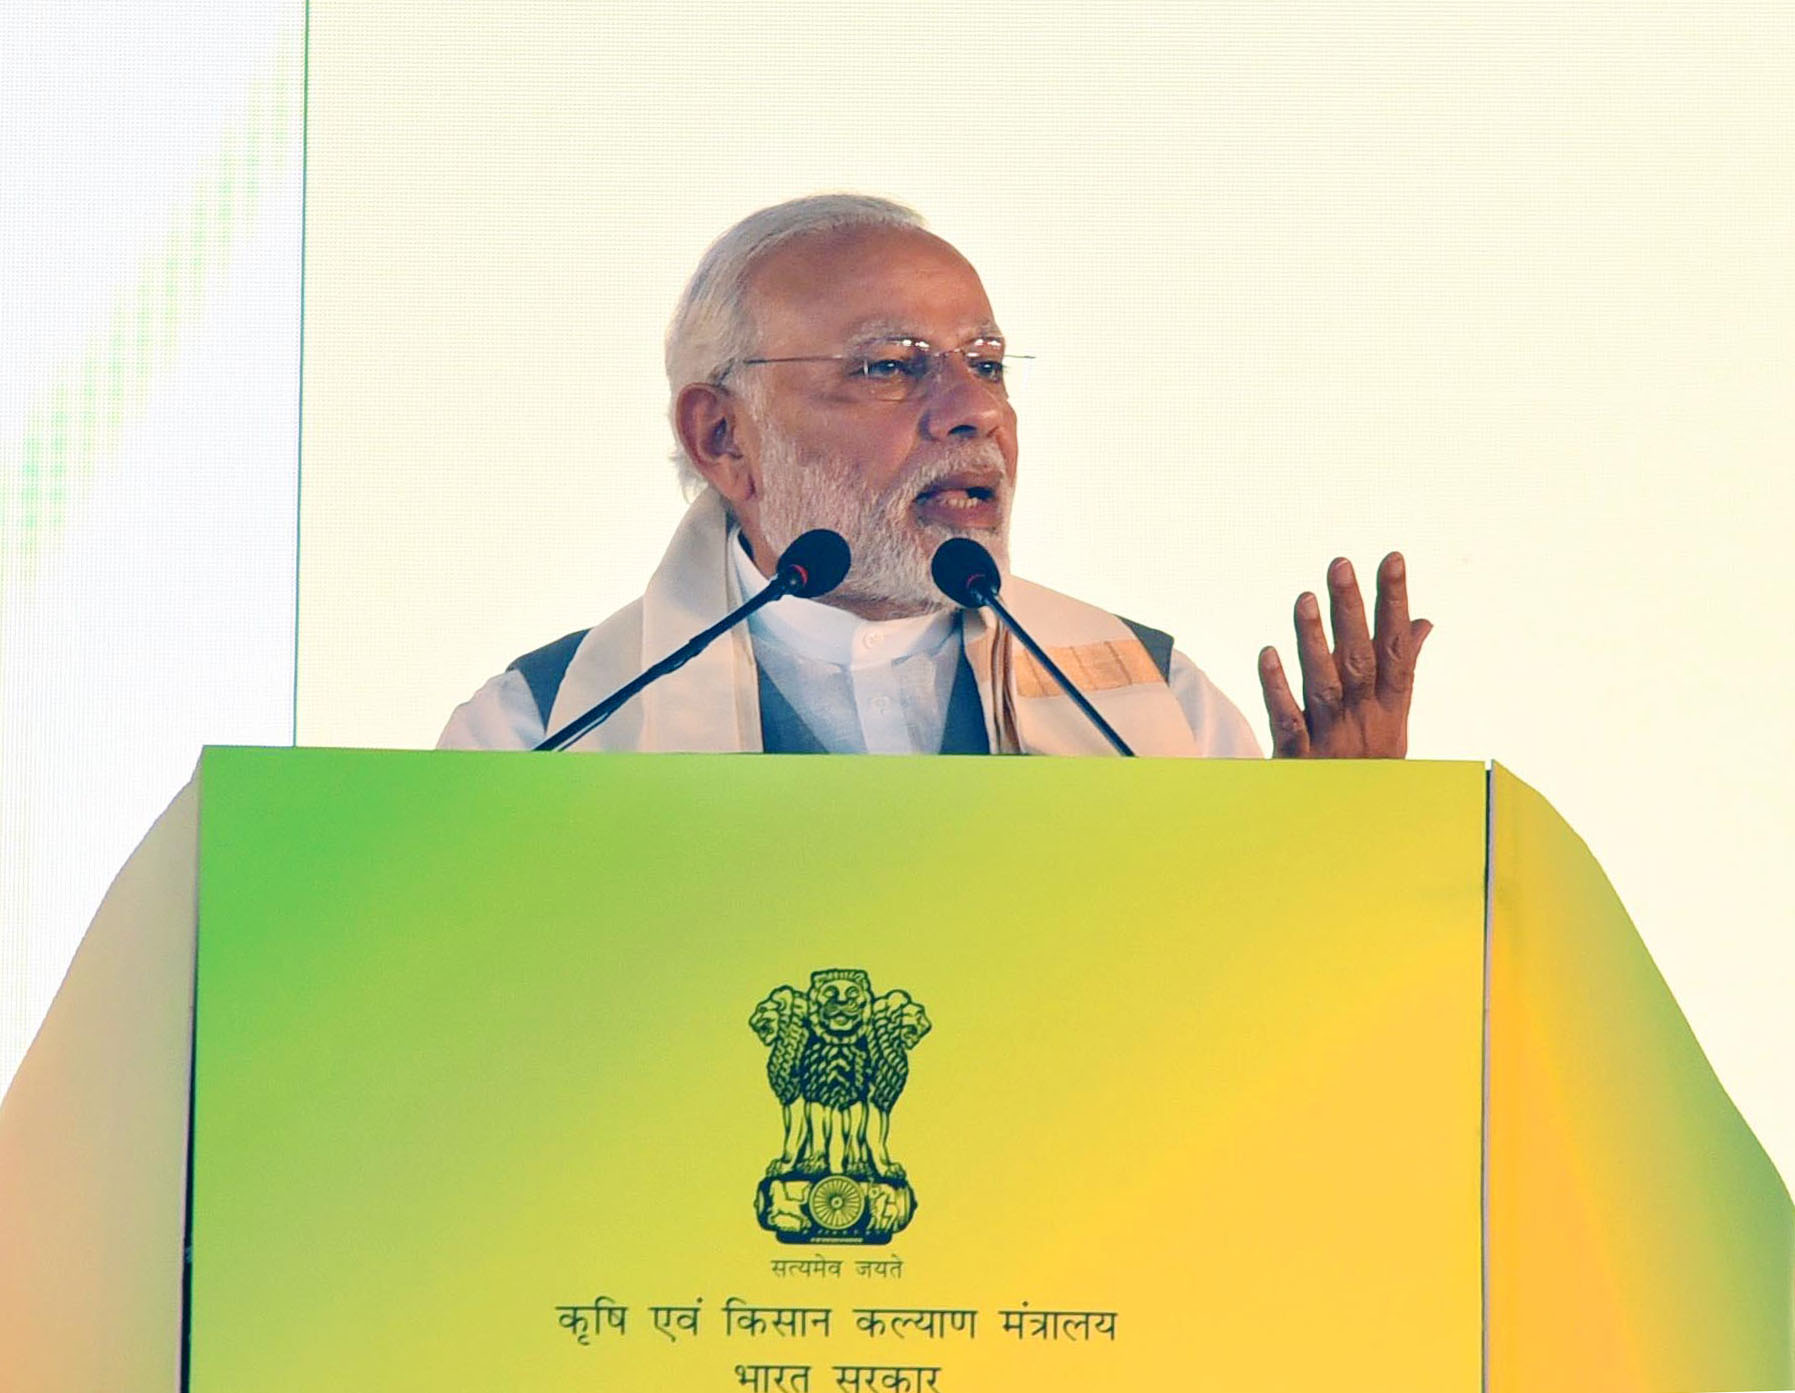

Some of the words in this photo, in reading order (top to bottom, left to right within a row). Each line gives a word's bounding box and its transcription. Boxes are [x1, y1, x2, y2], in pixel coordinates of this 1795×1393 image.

[766, 1247, 846, 1283] सत्यमेव
[847, 1252, 907, 1282] जयते
[552, 1293, 634, 1349] कृषि
[646, 1293, 708, 1347] एवं
[717, 1290, 836, 1340] किसान
[848, 1305, 980, 1342] कल्‍याण
[995, 1297, 1120, 1342] मंत्रालय
[733, 1362, 814, 1393] भारत
[831, 1364, 944, 1392] सरकार